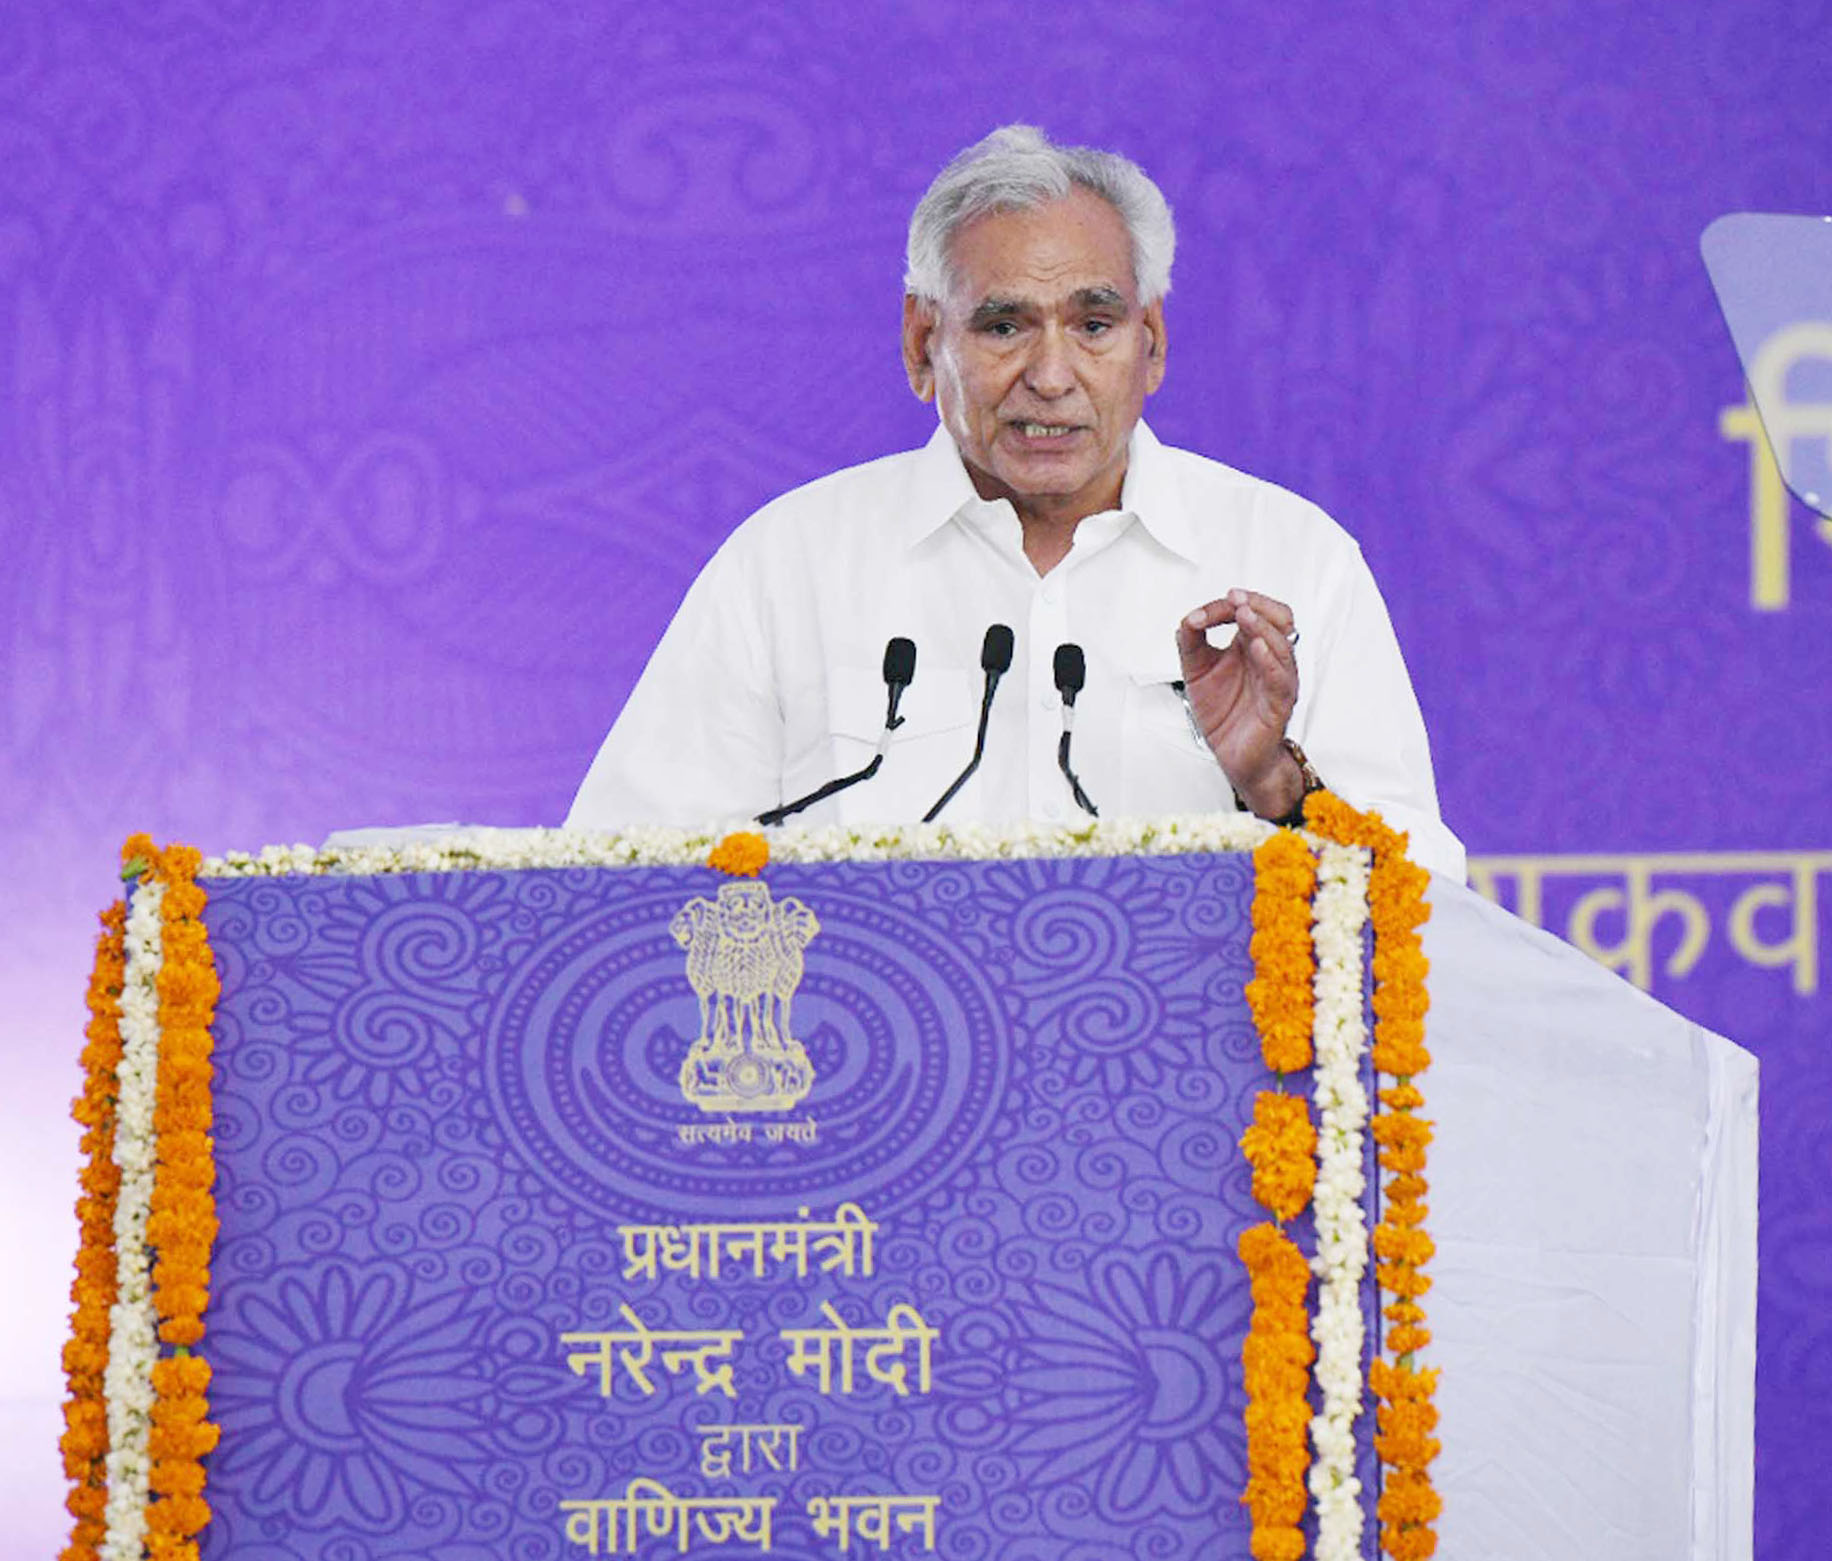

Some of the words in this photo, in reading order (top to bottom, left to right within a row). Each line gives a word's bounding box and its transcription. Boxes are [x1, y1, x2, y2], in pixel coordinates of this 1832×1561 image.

[670, 1110, 757, 1149] सत्यमेव
[757, 1110, 822, 1148] जयते
[611, 1193, 885, 1289] प्रधानमंत्री
[552, 1300, 745, 1409] नरेन्द्र
[780, 1292, 943, 1404] मोदी
[691, 1420, 810, 1481] द्वारा
[561, 1470, 781, 1558] वाणिज्य
[803, 1492, 942, 1558] भवन